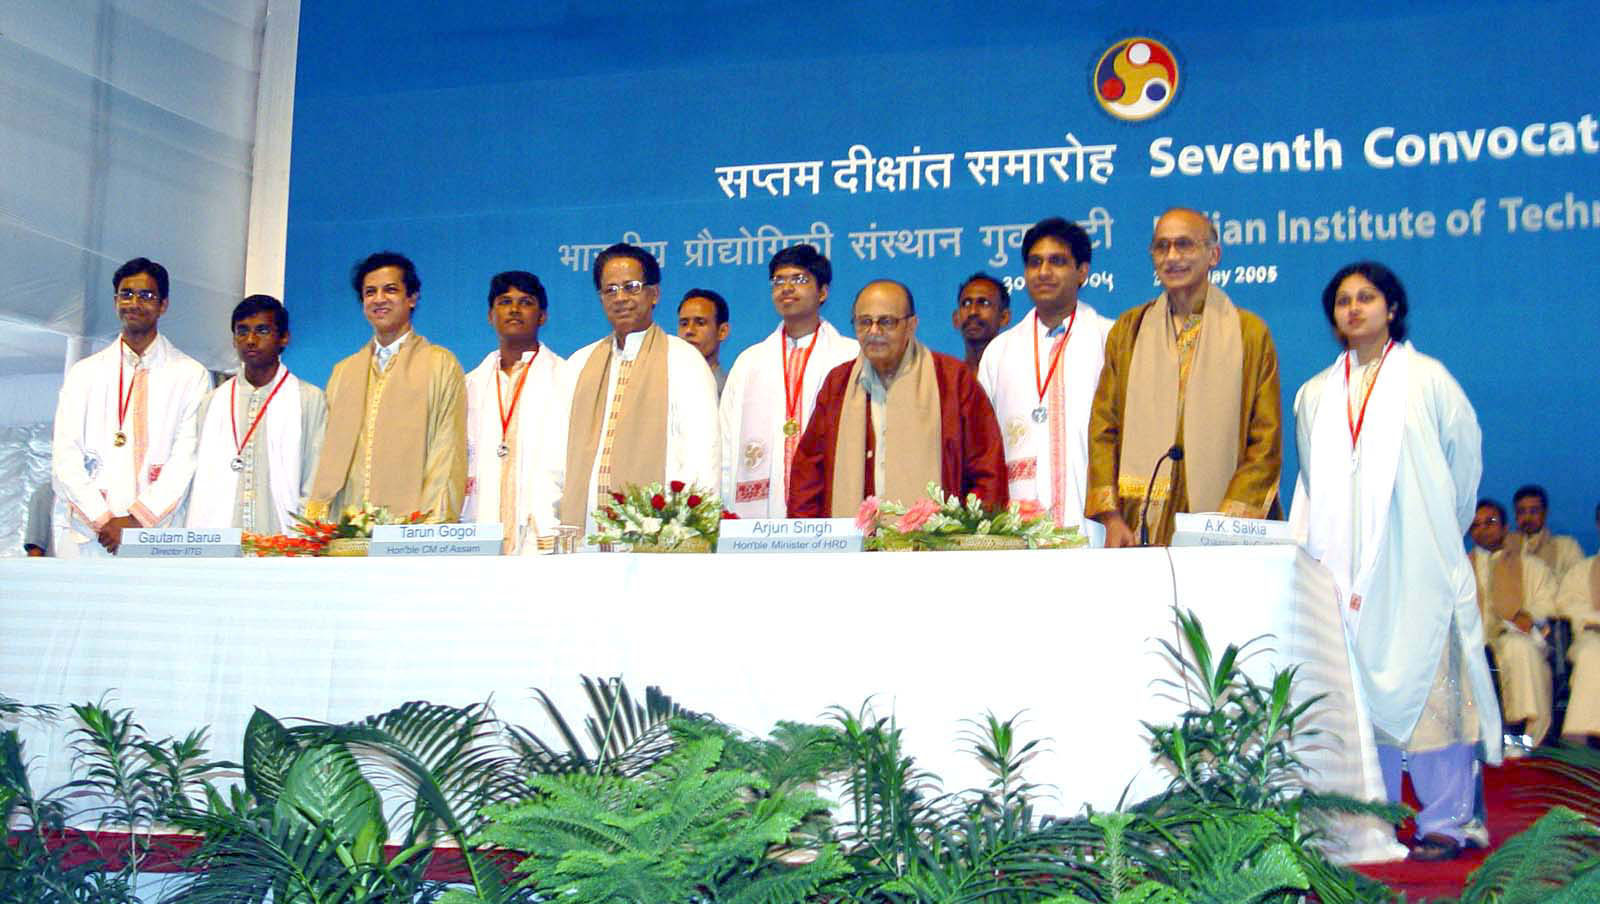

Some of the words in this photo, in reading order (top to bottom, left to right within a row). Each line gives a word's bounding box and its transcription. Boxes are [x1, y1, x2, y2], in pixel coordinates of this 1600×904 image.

[715, 155, 825, 204] सप्तम
[829, 137, 956, 199] दीक्षांत
[963, 127, 1119, 192] समारोह
[1147, 124, 1347, 182] Seventh
[555, 227, 675, 275] भारतीय
[679, 217, 838, 272] प्रौधो
[847, 214, 967, 265] संस्थान
[1211, 210, 1266, 251] jan
[1274, 200, 1442, 246] Institute
[1441, 193, 1491, 243] of
[1495, 184, 1600, 235] Tech
[1081, 265, 1117, 292] 04
[1231, 260, 1282, 289] 2005
[133, 528, 187, 546] Gautam
[185, 526, 226, 547] Barua
[399, 520, 439, 542] Tarun
[439, 518, 479, 542] Gogoi
[729, 537, 772, 554] Honble
[749, 516, 793, 540] Arjun
[768, 535, 811, 552] Minister
[788, 516, 840, 540] Singh
[807, 534, 826, 554] प्लैंड
[822, 531, 853, 553] HRD
[1197, 512, 1228, 537] AK
[1230, 517, 1271, 538] Saikia